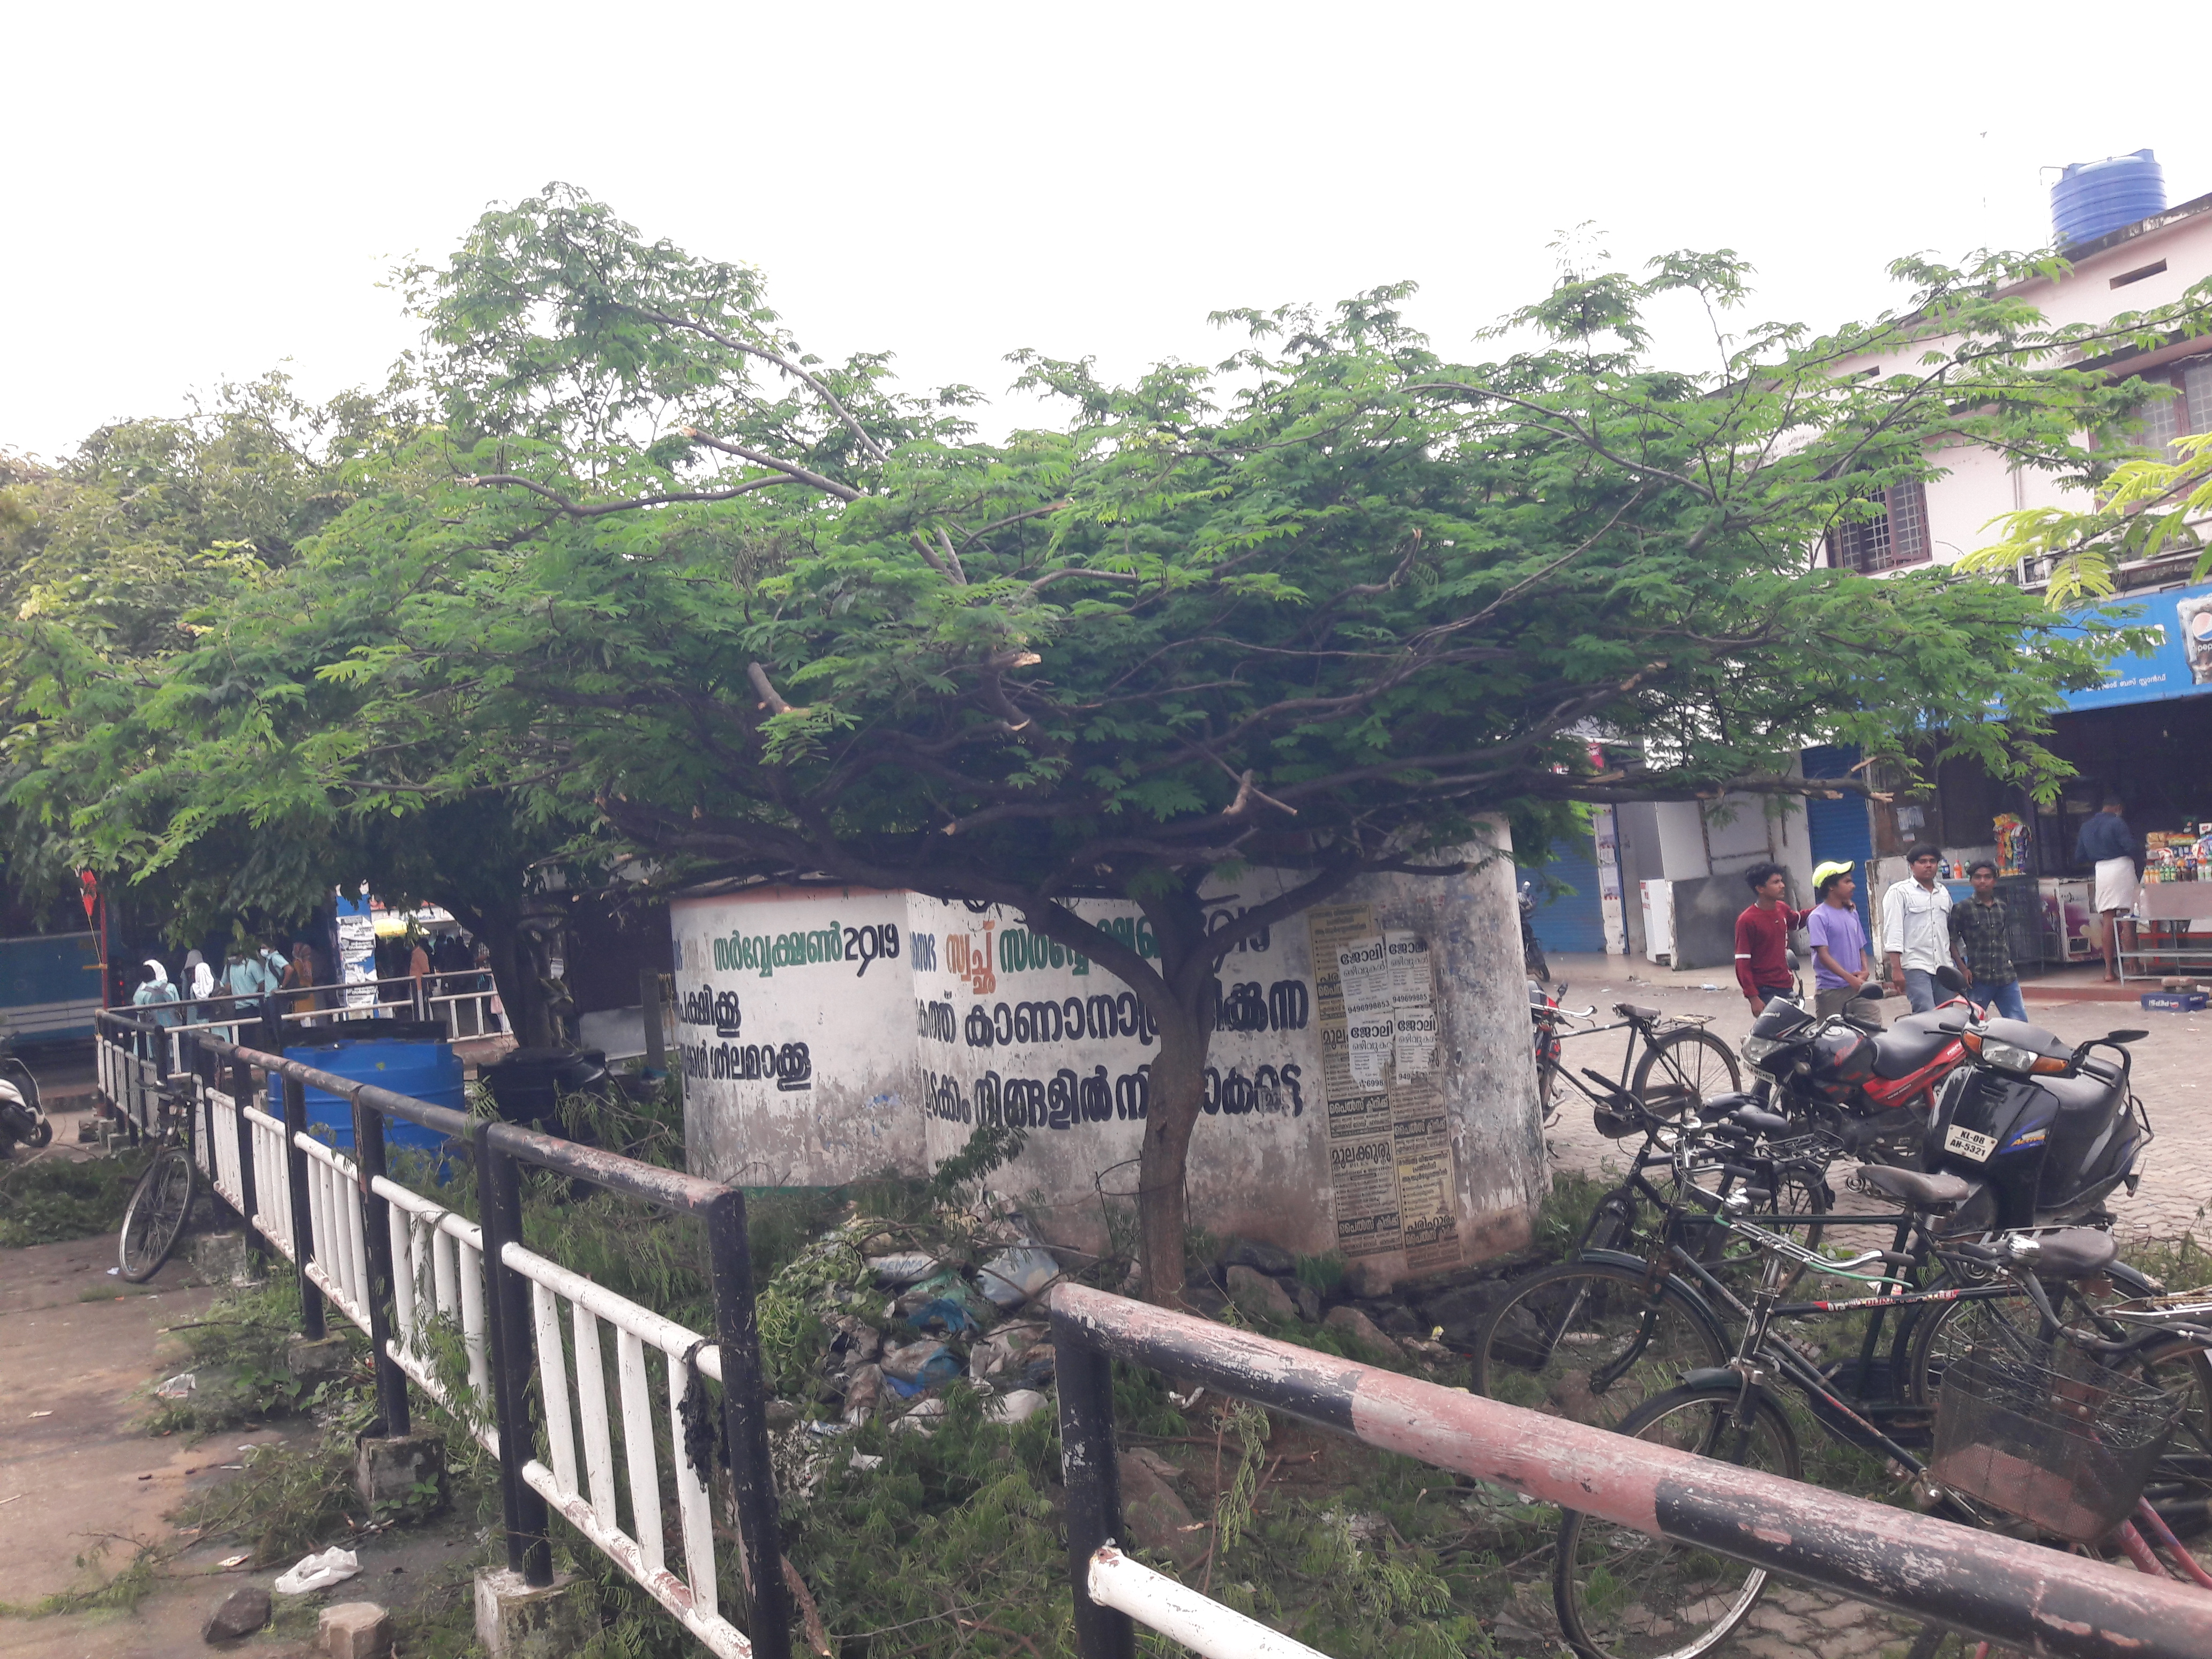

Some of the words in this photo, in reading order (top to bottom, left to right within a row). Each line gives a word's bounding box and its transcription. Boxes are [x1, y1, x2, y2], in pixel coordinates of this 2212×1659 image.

[2117, 676, 2138, 689] ബസ്
[2136, 672, 2168, 690] സ്റ്റാൻഡ്
[679, 914, 905, 979] സ്വച്ഛ് സർവ്വേക്ഷൺ 2019
[909, 928, 940, 977] ഗസഭ
[944, 913, 1003, 996] സ്വച്ഛ്
[998, 900, 1273, 978] സർവ്വേക്ഷൺ 2019
[1336, 939, 1386, 967] ജോലി
[1385, 937, 1430, 956] ജോലി
[1339, 960, 1388, 981] ഒഴിവുകൾ
[1313, 981, 1345, 1000] പൈത്
[675, 978, 745, 1044] പക്ഷിക്കൂ
[914, 988, 959, 1048] കത്ത്
[962, 973, 1315, 1052] കാണാനാക്കുന്ന
[1320, 1024, 1351, 1051] മൂല്ലി
[1348, 1036, 1392, 1055] ഒഴിവുകൾ
[1350, 1015, 1397, 1042] ജോലി
[1395, 1012, 1438, 1033] ജോലി
[1396, 1030, 1437, 1049] ഒഴിവുകൾ
[672, 1036, 820, 1097] നൾശീലമാക്കൂ
[918, 1063, 974, 1124] ടക്കം
[967, 1058, 1117, 1132] നിങ്ങളിൽ
[1115, 1060, 1306, 1124] നാകട്ടെ
[1324, 1095, 1366, 1117] പൈൽസ്
[1389, 1116, 1428, 1140] പൈൽസ്
[1329, 1140, 1394, 1170] മൂലക്കുരു
[1408, 1159, 1439, 1177] പ്രതിവിധി
[1335, 1214, 1377, 1238] പൈൽസ്
[1402, 1224, 1439, 1250] പൈൽസ്